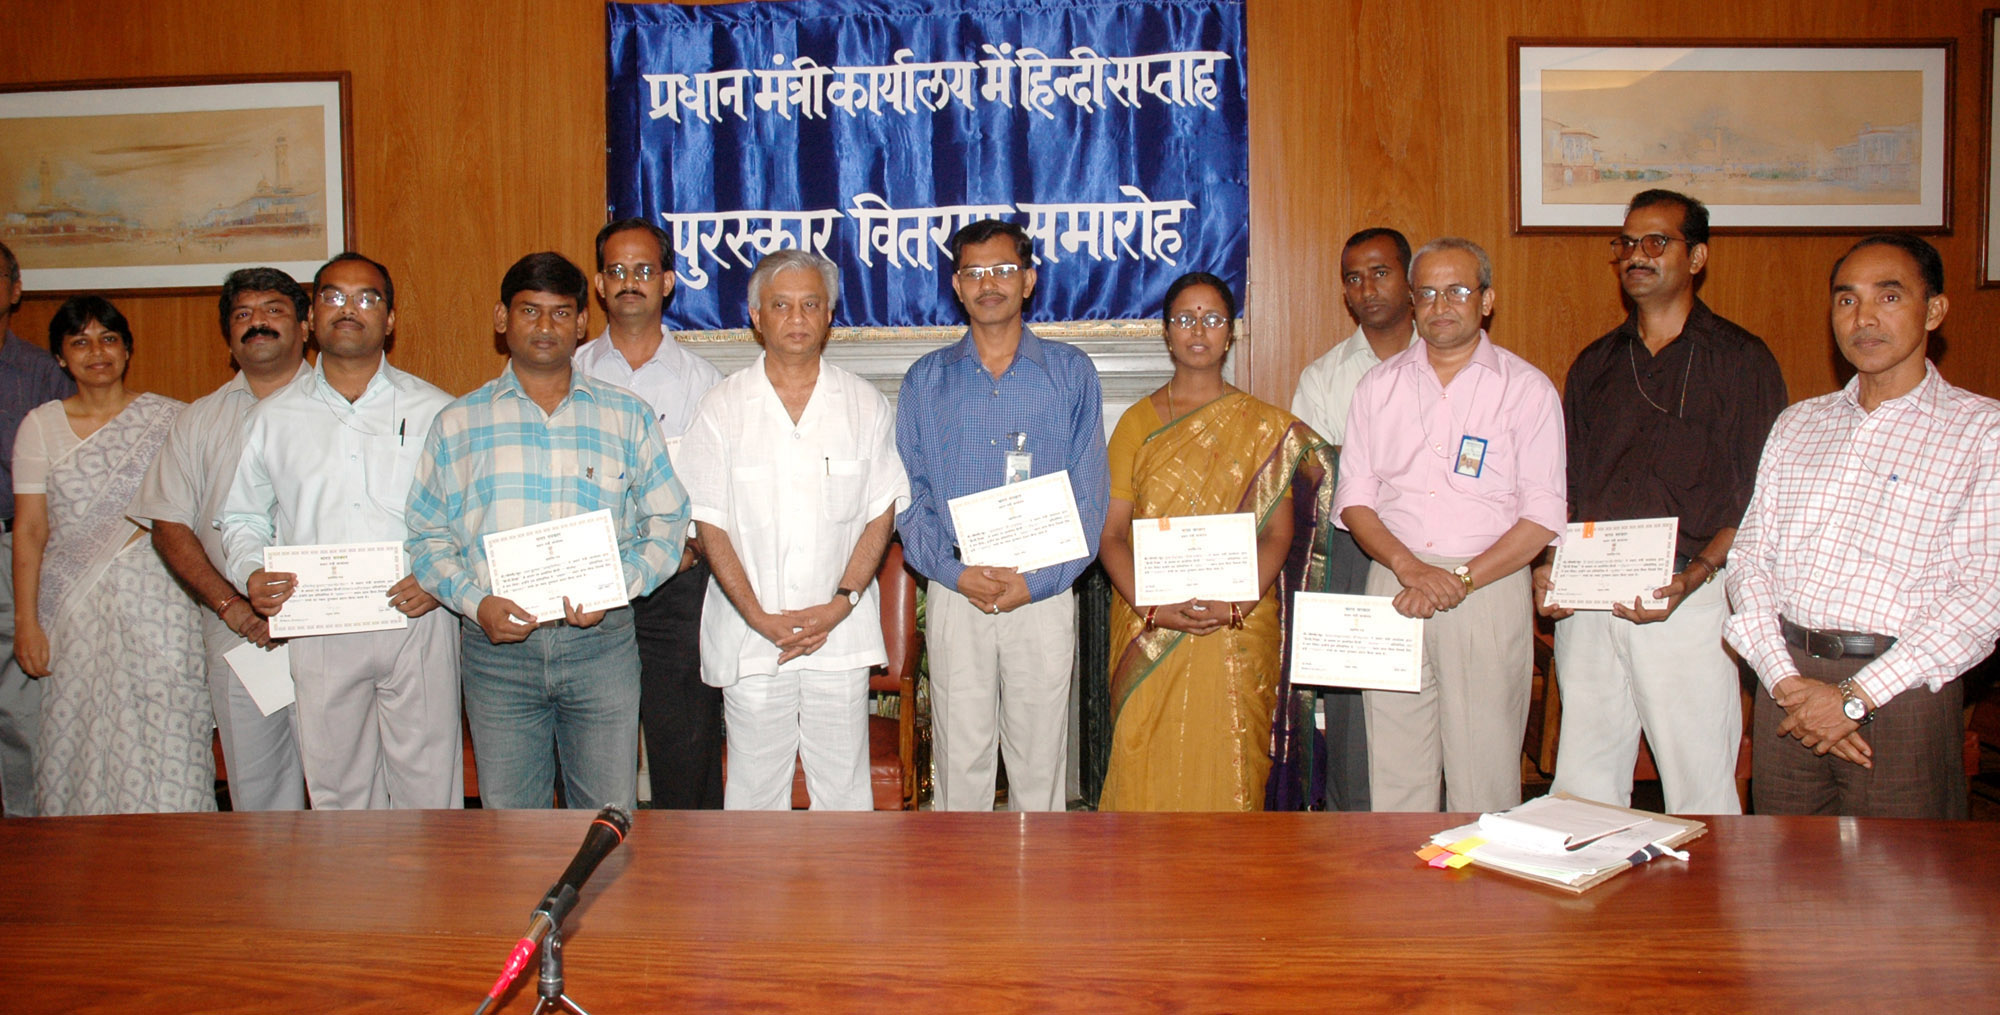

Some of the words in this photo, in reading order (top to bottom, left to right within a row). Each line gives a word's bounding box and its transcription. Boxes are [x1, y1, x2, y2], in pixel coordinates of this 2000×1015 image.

[641, 67, 750, 125] प्रधान
[754, 46, 830, 125] मंत्री
[825, 43, 979, 119] कार्यालय
[978, 39, 1018, 113] में
[1010, 43, 1109, 124] हिन्दी
[1102, 49, 1232, 114] सप्ताह
[659, 206, 845, 294] पुरस्कार
[843, 187, 1015, 274] वितर
[1016, 180, 1195, 266] समारोह